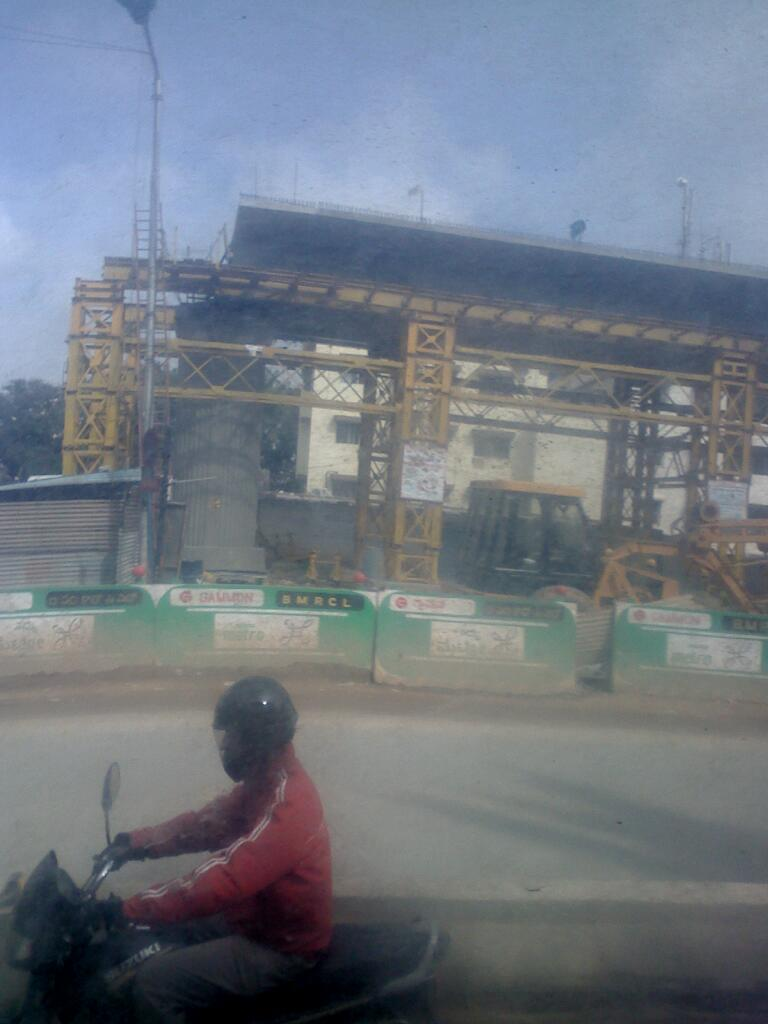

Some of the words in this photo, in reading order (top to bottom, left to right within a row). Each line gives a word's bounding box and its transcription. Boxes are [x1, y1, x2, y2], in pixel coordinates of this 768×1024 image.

[194, 587, 257, 607] GAMMON
[275, 588, 353, 610] BMRCL